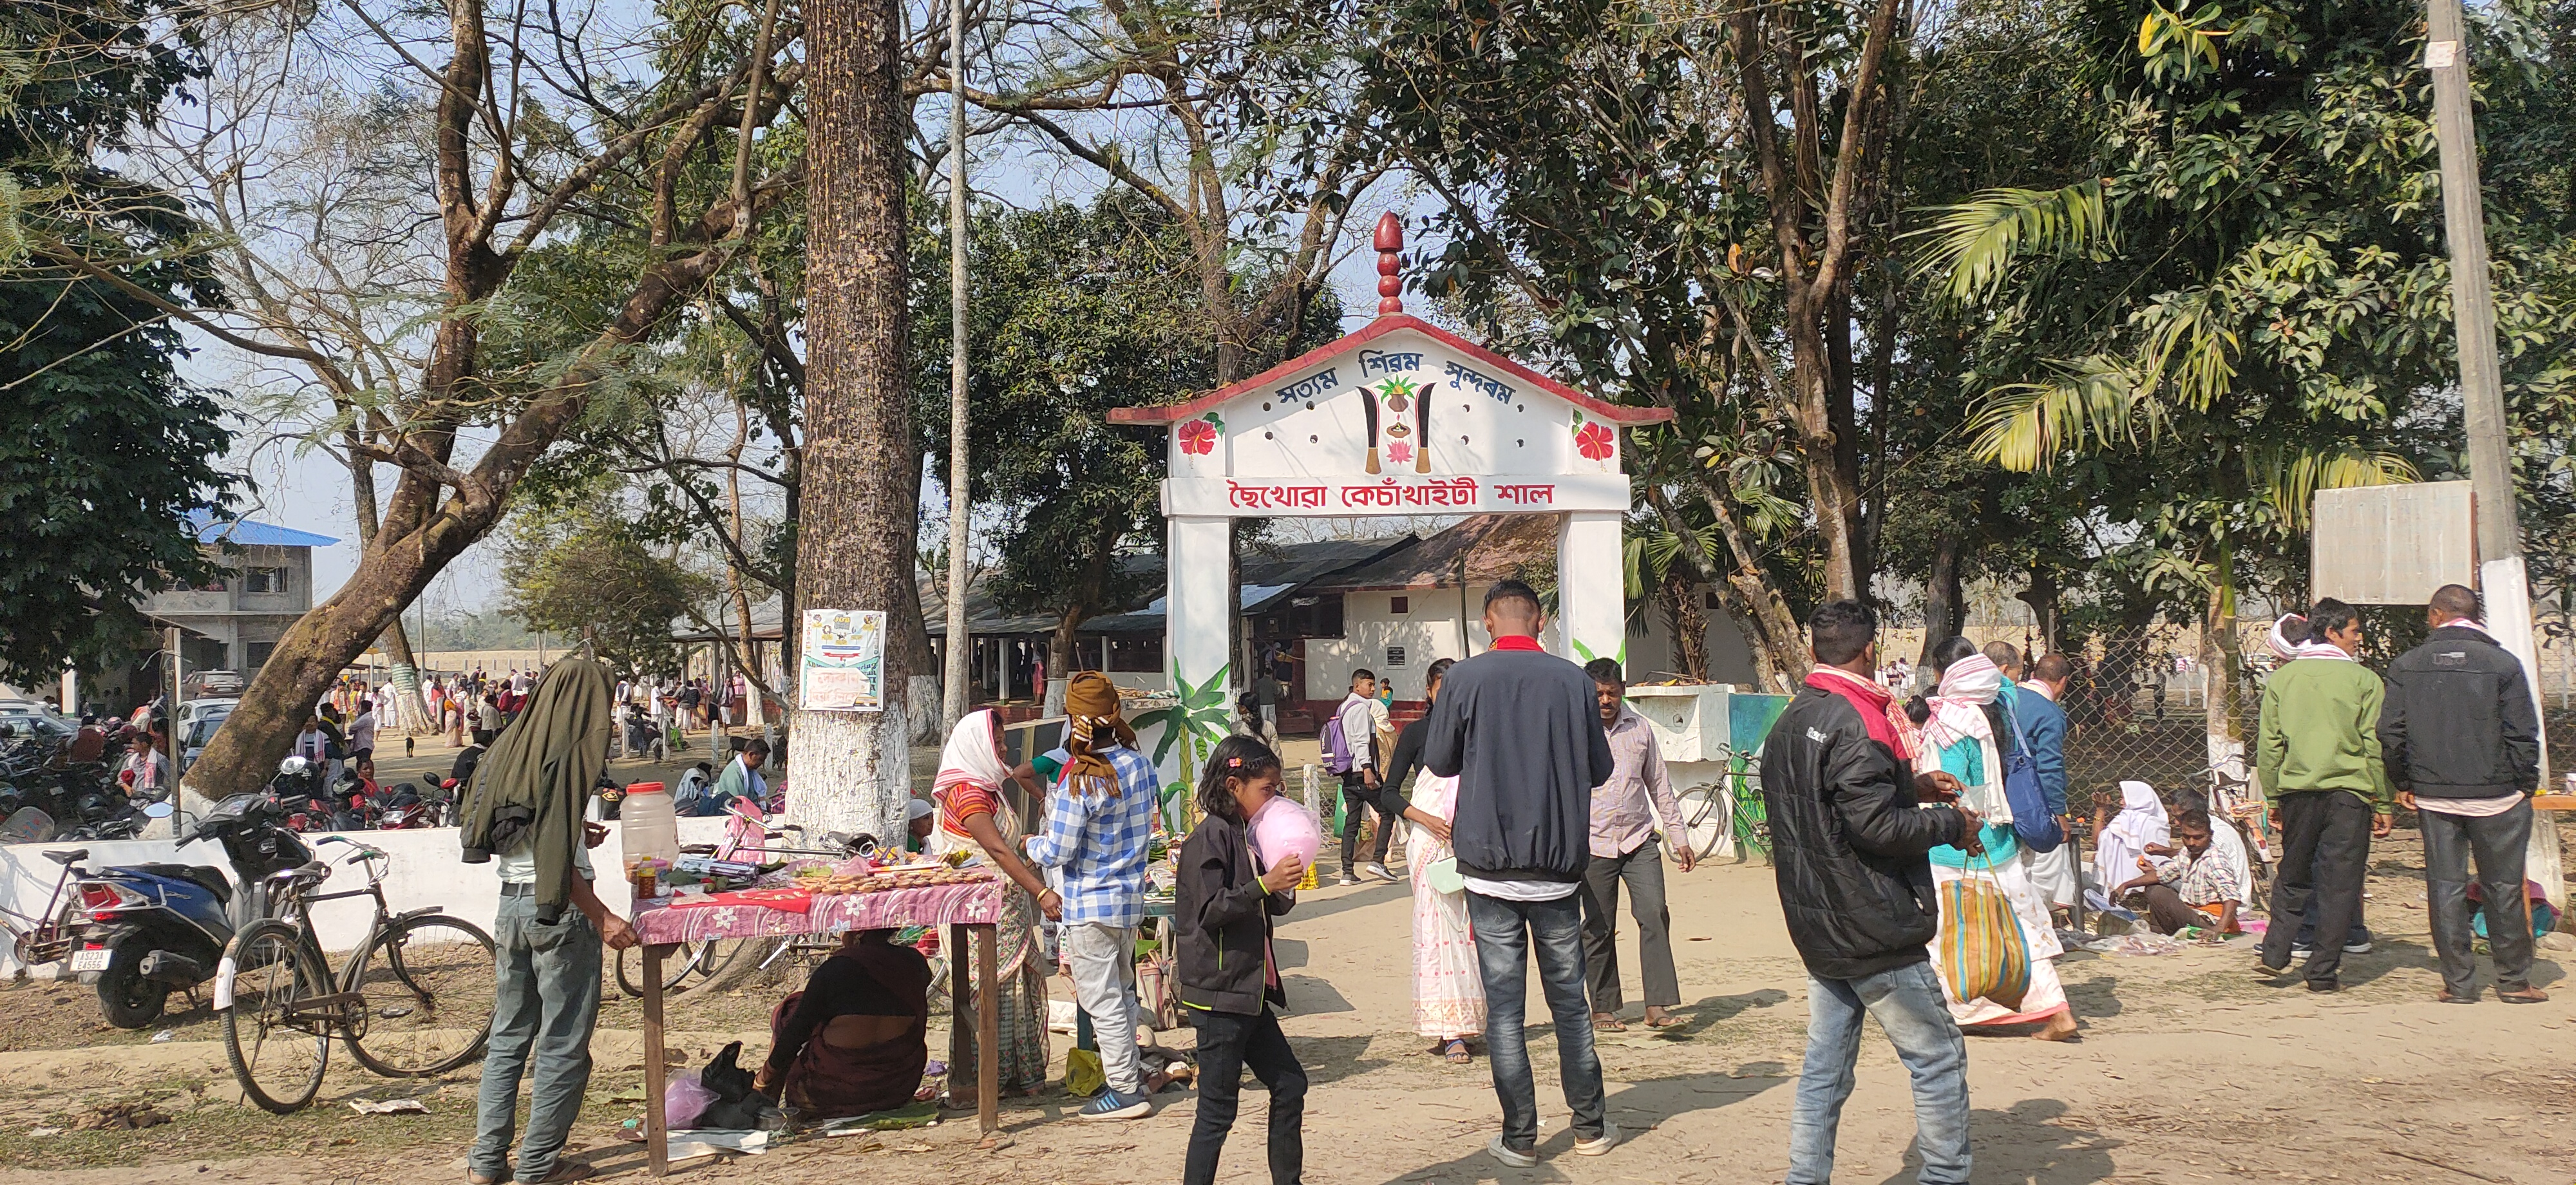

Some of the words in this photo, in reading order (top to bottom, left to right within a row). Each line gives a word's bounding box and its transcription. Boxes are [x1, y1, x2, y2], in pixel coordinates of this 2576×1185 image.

[1274, 362, 1341, 412] সত্যম
[1349, 343, 1424, 381] শিৱম
[1441, 357, 1519, 407] সুন্দৰম
[1222, 470, 1332, 513] ছৈখোৱা
[1339, 472, 1482, 512] কেচাঁখাইটী
[1493, 477, 1559, 508] শাল